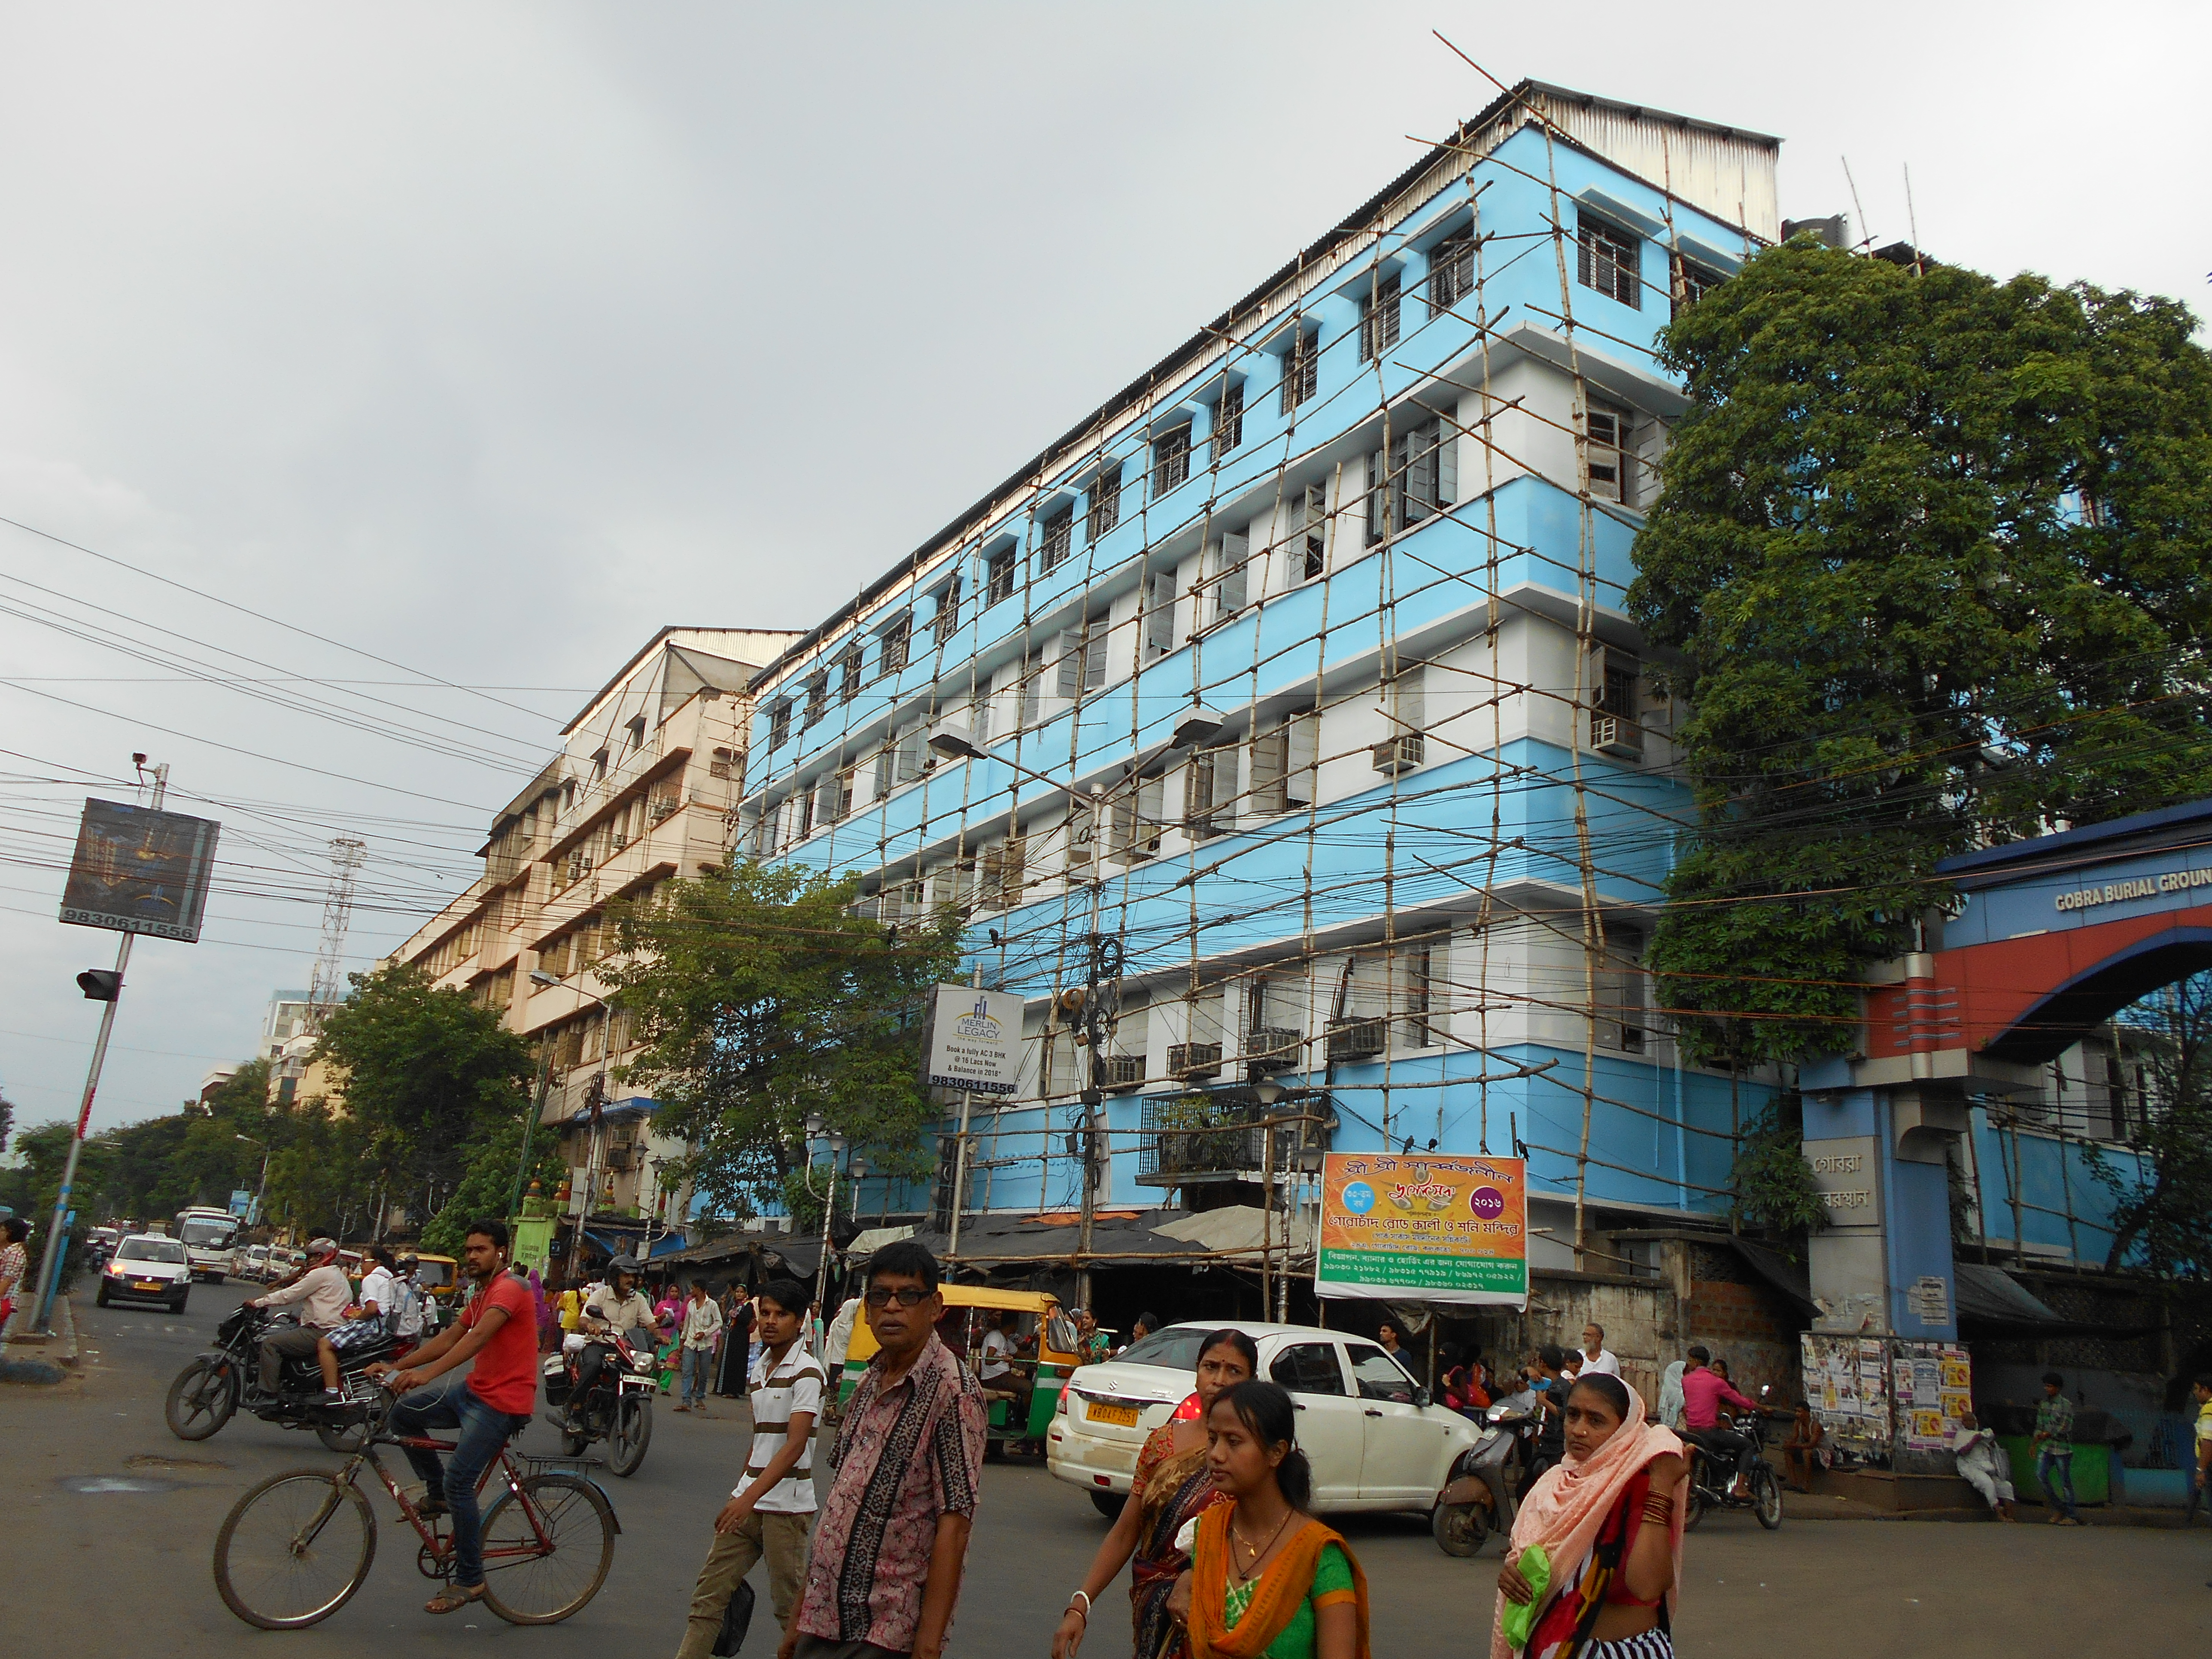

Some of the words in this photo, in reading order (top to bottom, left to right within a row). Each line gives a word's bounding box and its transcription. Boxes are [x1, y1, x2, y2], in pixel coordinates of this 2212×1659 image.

[2100, 875, 2159, 906] BURIAL
[2050, 884, 2104, 914] GOBRA
[64, 901, 197, 943] 9830611556
[960, 1016, 999, 1032] MERLIN
[956, 1023, 1002, 1043] LEGACY
[946, 1043, 963, 1055] Book
[959, 1047, 969, 1056] a
[954, 1063, 980, 1076] Balance
[960, 1054, 984, 1068] 16Lacs
[963, 1046, 982, 1059] fully
[975, 1067, 987, 1077] in
[980, 1047, 991, 1058] AC
[986, 1049, 995, 1059] 3
[983, 1057, 1000, 1070] Now
[983, 1065, 1001, 1079] 2018*
[994, 1049, 1007, 1060] BHK
[1332, 1152, 1401, 1186] শীশী
[1401, 1156, 1517, 1185] সার্ব্বজনীন
[1809, 1149, 1863, 1176] গোবরা
[1471, 1194, 1503, 1209] ২০১৬
[1816, 1186, 1871, 1210] বরস্থান
[1325, 1212, 1379, 1229] গোরাচাঁদ
[1380, 1213, 1411, 1234] রোড
[1408, 1212, 1444, 1234] কালী
[1441, 1218, 1456, 1233] ও
[1456, 1216, 1482, 1234] শনি
[1479, 1214, 1521, 1238] মন্দির
[1324, 1247, 1359, 1262] বিজ্ঞাপন,
[1322, 1261, 1382, 1275] ৯৯০৩০ ২১৮৮২
[1360, 1254, 1386, 1265] ব্যানার
[1369, 1240, 1401, 1252] গোরাচাঁদ
[1371, 1229, 1413, 1243] পার্ক সাকাস
[1395, 1252, 1424, 1269] হোর্ডিং
[1400, 1240, 1420, 1255] রোড.
[1385, 1267, 1448, 1279] ৯৮৩১৫৭৭৯১৯
[1410, 1231, 1442, 1243] ময়দানের
[1419, 1244, 1451, 1256] কলকাতা
[1418, 1256, 1455, 1268] এরজন্য
[1441, 1233, 1470, 1245] সন্নিকটে
[1453, 1258, 1495, 1271] যোগাযোগ
[1452, 1266, 1516, 1281] ৮৬৯৭২০৫৯২২
[1494, 1258, 1521, 1273] করুন